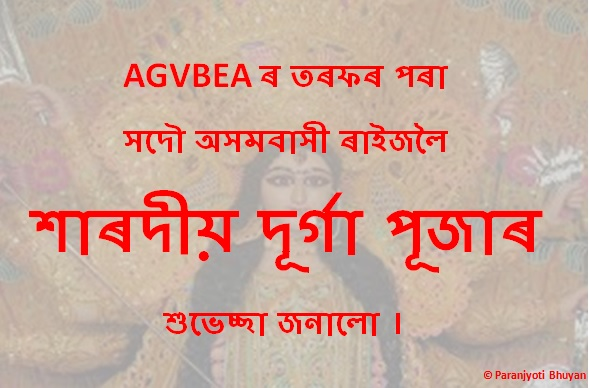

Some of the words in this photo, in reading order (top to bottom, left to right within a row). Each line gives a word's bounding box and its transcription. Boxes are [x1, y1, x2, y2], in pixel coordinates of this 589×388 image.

[117, 55, 259, 95] AGVBEA
[250, 55, 286, 90] ৰ
[287, 59, 389, 92] তৰফৰ
[392, 62, 449, 94] পৰা
[120, 123, 187, 159] সদৌ
[193, 114, 335, 157] অসমবাসী
[331, 115, 449, 159] ৰাইজলৈ
[24, 190, 241, 263] শাৰদীয়
[251, 187, 373, 278] দুর্গা
[385, 203, 551, 278] পূজাৰ
[163, 300, 271, 340] শুভেচ্ছা
[272, 304, 385, 341] জনালো
[483, 368, 544, 383] @Paranjyoti
[546, 360, 589, 385] Bhuyan